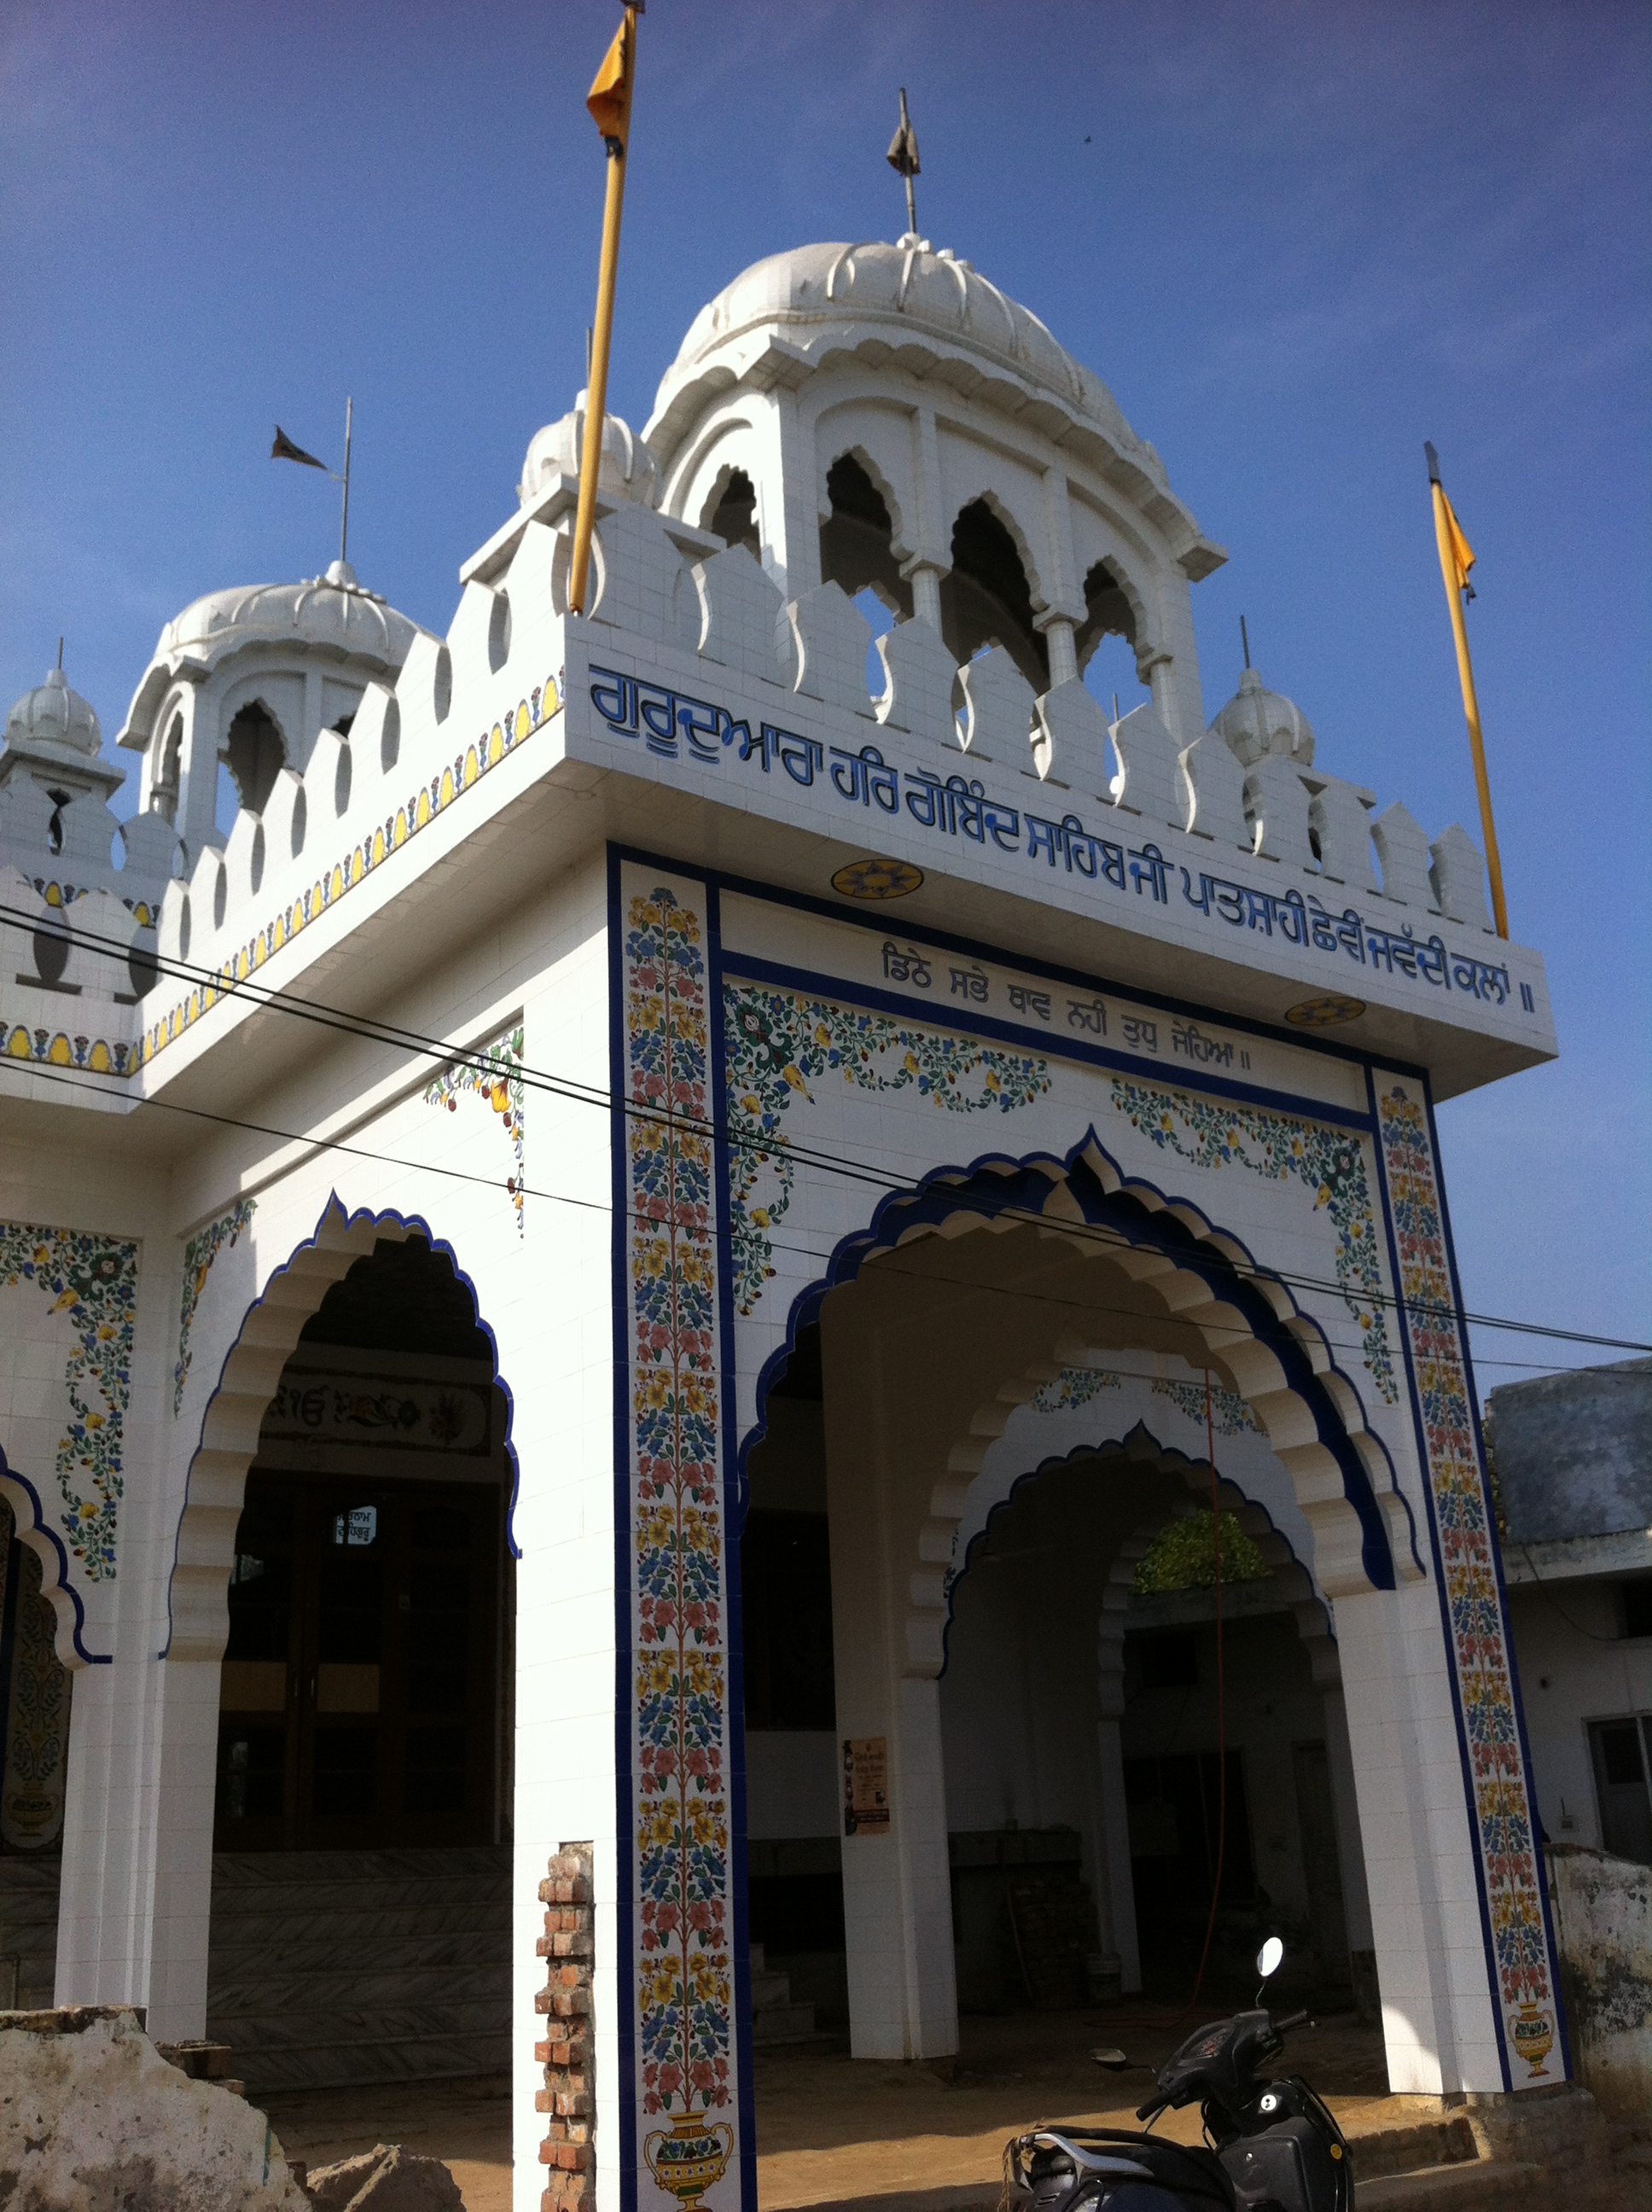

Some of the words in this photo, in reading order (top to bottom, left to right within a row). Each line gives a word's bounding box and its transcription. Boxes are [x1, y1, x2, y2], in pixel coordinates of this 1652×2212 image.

[570, 652, 831, 793] ਗੁਰੂਦੁਆਰਾ
[825, 729, 903, 824] ਹਰਿ
[872, 932, 942, 997] ਡਿਠੇ
[902, 749, 1024, 864] ਗੋਬਿੰਦ
[938, 954, 997, 1012] ਸਭੇ
[1002, 975, 1056, 1027] ਥਾਵ
[1018, 792, 1130, 895] ਸਾਹਿਬ
[1062, 992, 1113, 1043] ਨਹੀ
[1116, 1008, 1163, 1058] ਤੁਧੁ
[1127, 824, 1177, 911] ਜੀ
[1164, 1015, 1240, 1074] ਜੇਹਿਆ
[1175, 859, 1312, 952] ਪਾਤਸ਼ਾਹੀ
[1302, 885, 1368, 969] ਛੇਵੀਂ
[1365, 913, 1455, 993] ਜਵੱਦੀ
[1450, 947, 1516, 1012] ਕਲਾ